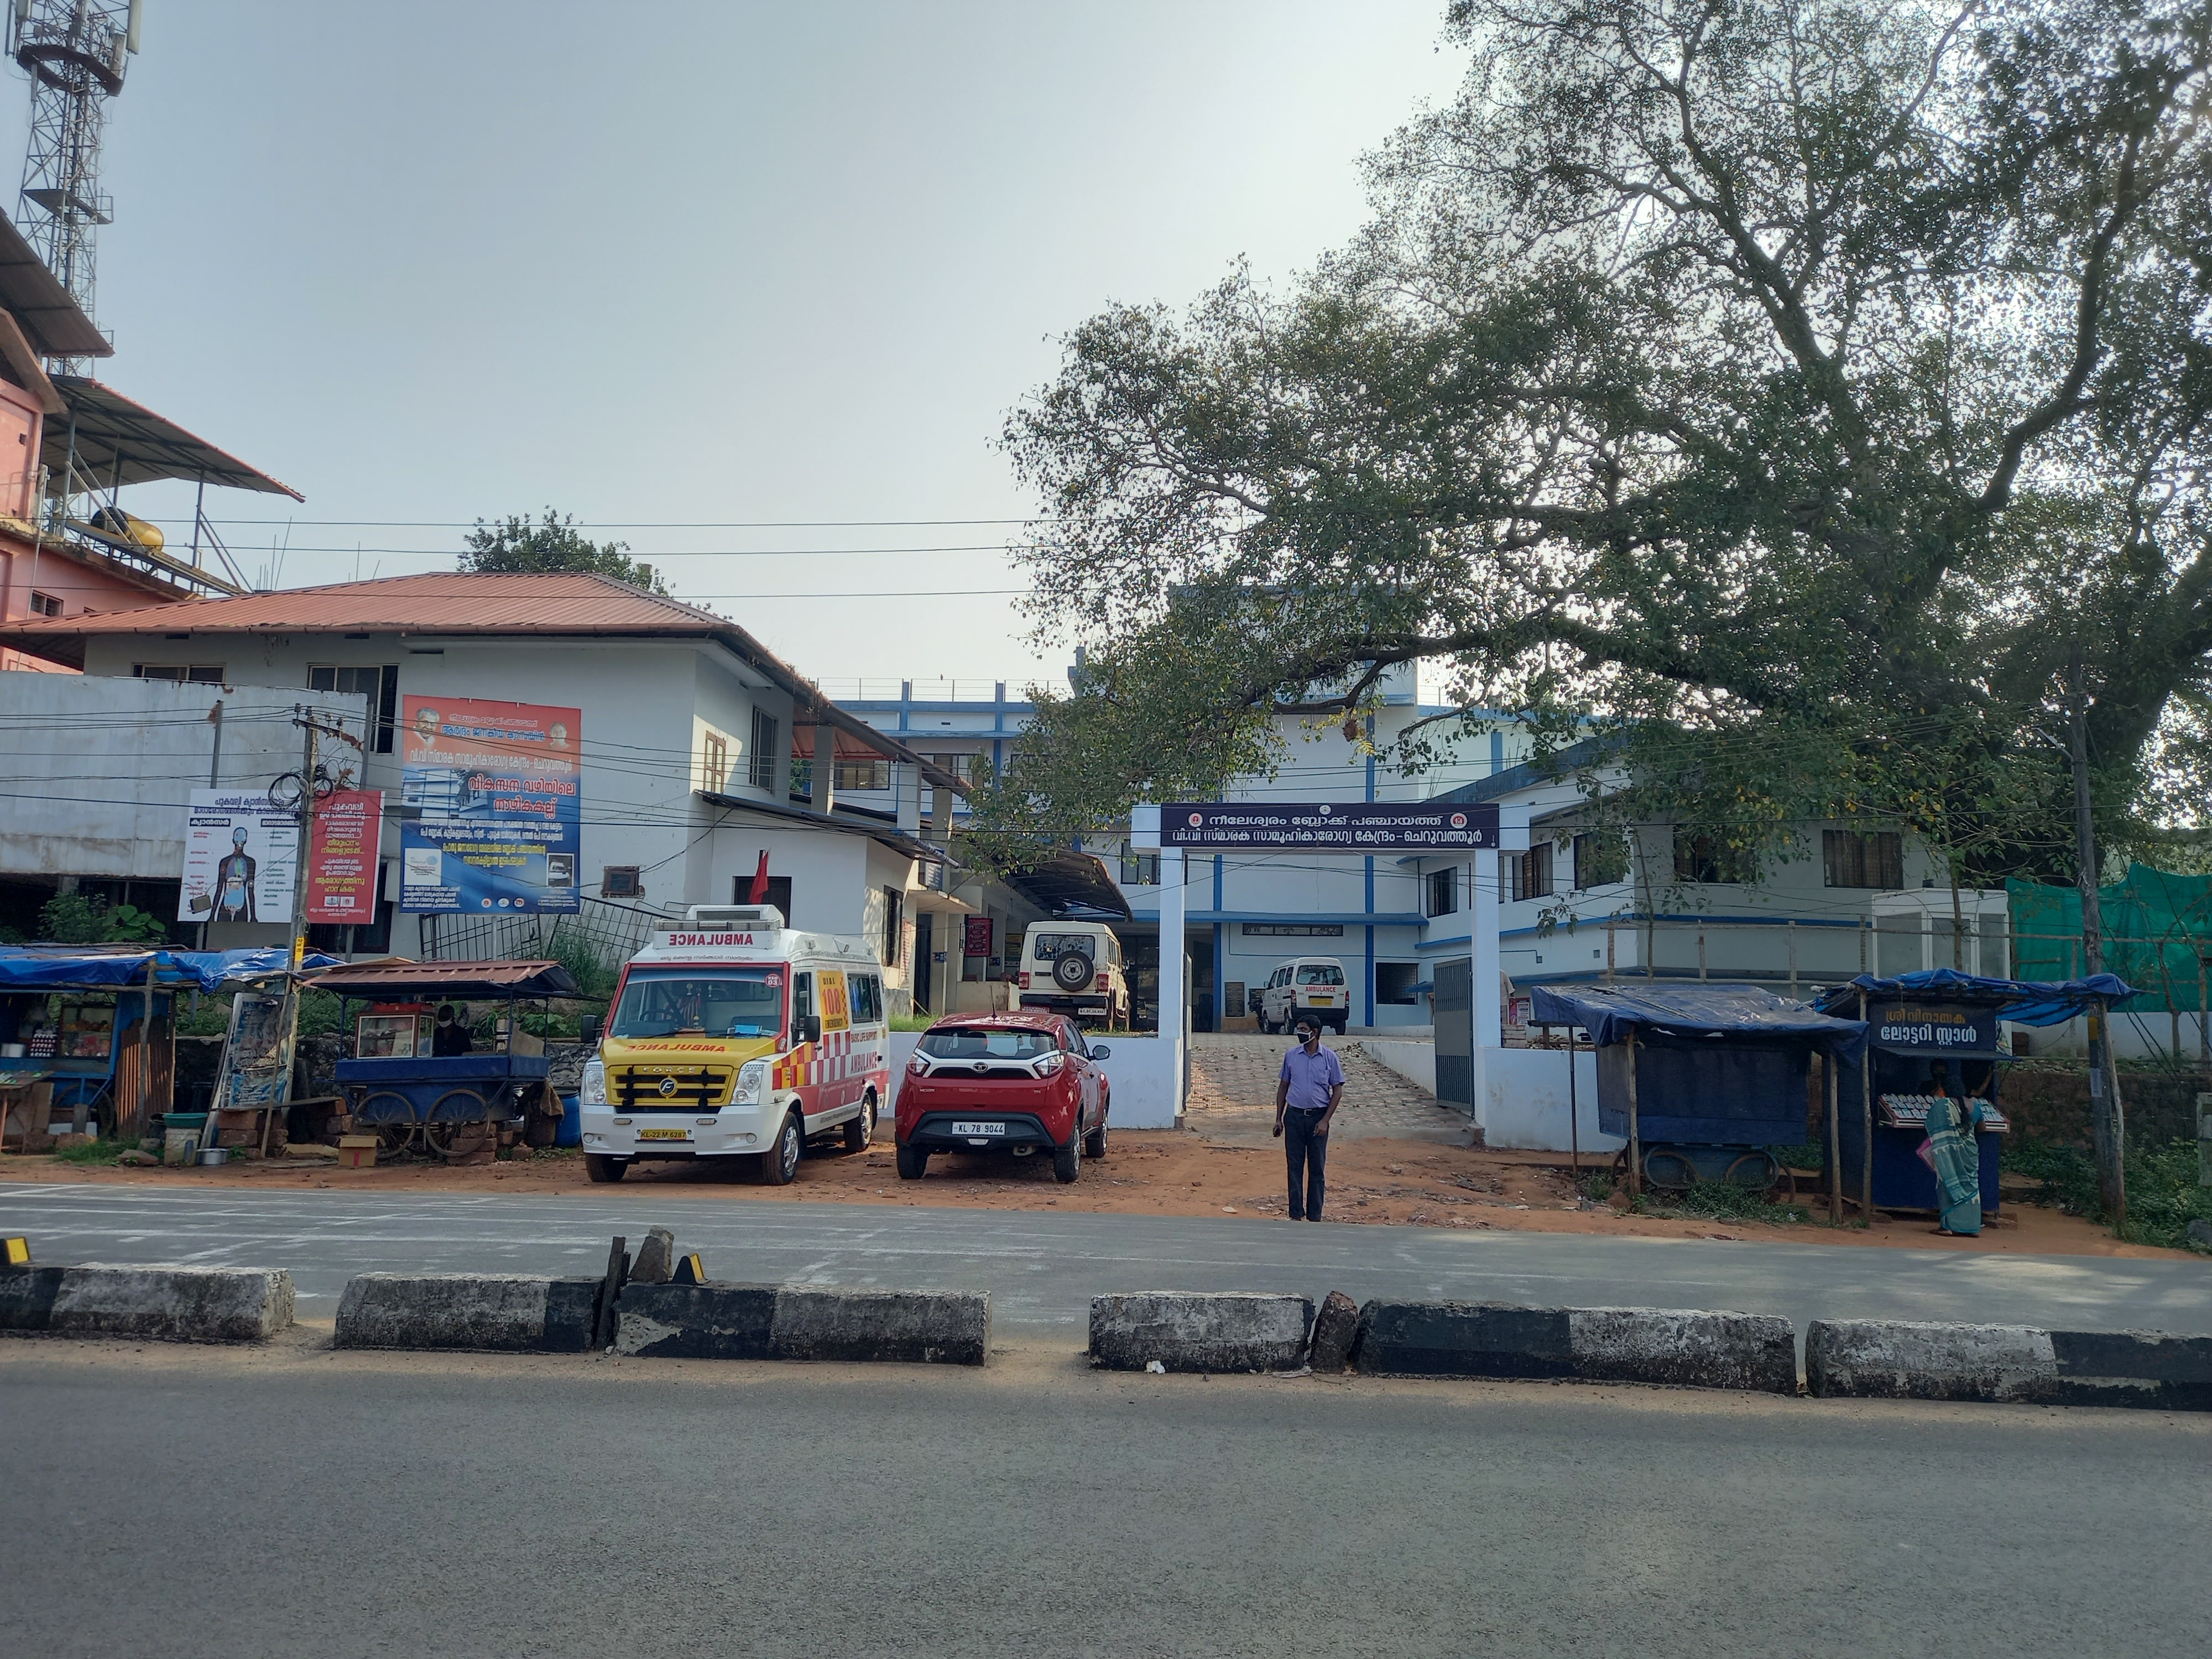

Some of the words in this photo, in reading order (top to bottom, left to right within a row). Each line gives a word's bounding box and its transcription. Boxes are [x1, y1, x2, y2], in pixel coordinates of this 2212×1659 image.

[437, 723, 472, 738] ആരദ്രം
[446, 710, 482, 725] നിലേശ്വരം
[468, 724, 509, 740] ജനകീയ
[478, 713, 540, 731] ബ്ലോക്ക് പഞ്ചായത്ത്
[503, 725, 548, 744] ക്വാമ്പയിൻ
[406, 743, 429, 766] വിവി
[425, 747, 455, 766] സ്മാരക
[452, 748, 510, 770] സാമൂഹികാരോഗ്യ
[506, 753, 533, 774] കേന്ദ്രം
[530, 754, 575, 775] ചെറുവത്തൂർ
[465, 769, 523, 795] വികസന
[521, 774, 578, 797] വഴിയിലെ
[187, 817, 231, 827] ക്വാൻസർ
[213, 794, 243, 807] പുകവലി
[241, 794, 287, 809] ക്യാൻസ
[316, 807, 332, 822] ൧൯൯൪
[321, 819, 366, 830] മാരകരോഗങ്ങൾ
[327, 800, 367, 812] പുകവലി
[329, 808, 370, 821] പക്ഷിക്കു
[492, 792, 559, 820] നാഴികകല്ല്
[1168, 825, 1203, 843] വി.വി
[1202, 822, 1253, 844] സ്‌മാരക
[1207, 812, 1289, 830] നീലേശ്വരം
[1251, 825, 1354, 847] സാമൂഹികാരോഗ്യ
[1288, 810, 1350, 829] ബ്ലോക്ക്
[1352, 826, 1399, 844] കേന്ദ്രം
[1350, 811, 1445, 829] പഞ്ചായത്ത്
[1401, 826, 1487, 847] ചെറുവത്തൂർ
[317, 843, 362, 858] നിങ്ങളുടേത്
[312, 874, 368, 889] ആരോഗ്യത്തിനു
[336, 884, 357, 895] കരം
[664, 932, 755, 947] AMBULANCE
[657, 953, 674, 963] ഒരു
[672, 953, 695, 963] കേരള
[690, 952, 724, 962] സർക്കാര
[724, 953, 755, 964] സം‌രംഭം
[821, 975, 839, 985] DIAL
[818, 986, 843, 1016] 108
[822, 1015, 844, 1030] EMERGENCY
[1884, 1006, 1910, 1025] ശ്രീ
[1906, 1005, 1968, 1027] വിനായക
[848, 1030, 861, 1045] BASIC
[857, 1030, 869, 1042] LIFE
[863, 1029, 880, 1042] SUPPORT
[1876, 1019, 1933, 1046] ലോട്ടറി
[1936, 1022, 1980, 1048] സ്റ്റാൾ
[624, 1040, 728, 1056] AMBULANCE
[849, 1048, 881, 1077] AMBULANCE-